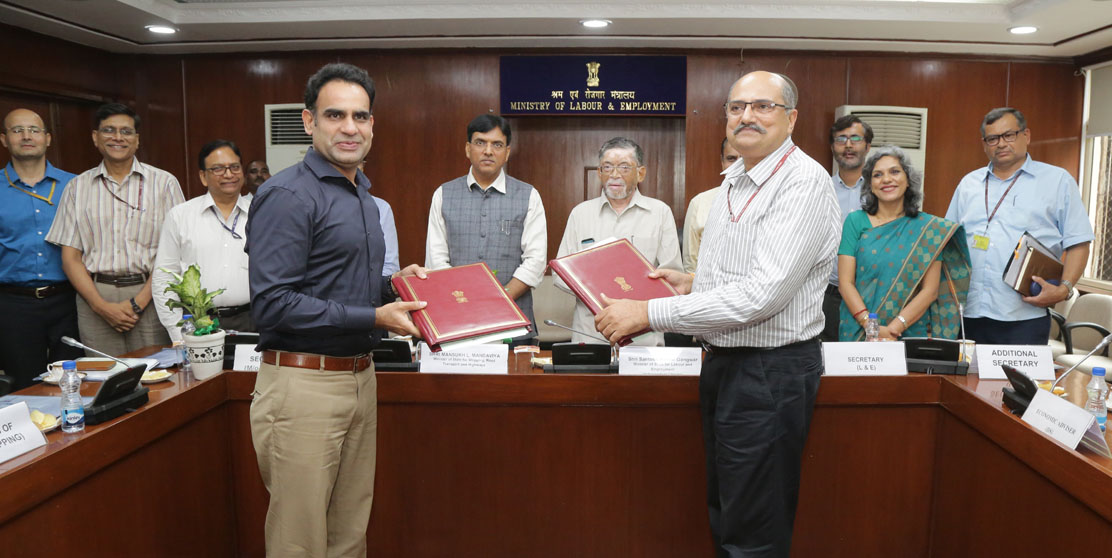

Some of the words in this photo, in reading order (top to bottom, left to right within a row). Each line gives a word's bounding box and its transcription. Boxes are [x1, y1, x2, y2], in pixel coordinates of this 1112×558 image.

[549, 86, 567, 101] श्रम
[565, 87, 582, 102] एवं
[581, 79, 609, 103] रोजगार
[605, 86, 638, 103] मंत्रालय
[505, 97, 553, 114] MINISTRY
[550, 97, 568, 114] OF
[566, 99, 607, 113] LABOUR
[615, 99, 680, 115] EMPLOYMENT
[844, 353, 887, 366] ५६८२६१३०१९
[989, 356, 1041, 370] SECRETARY
[988, 347, 1043, 359] ADDITIONAL